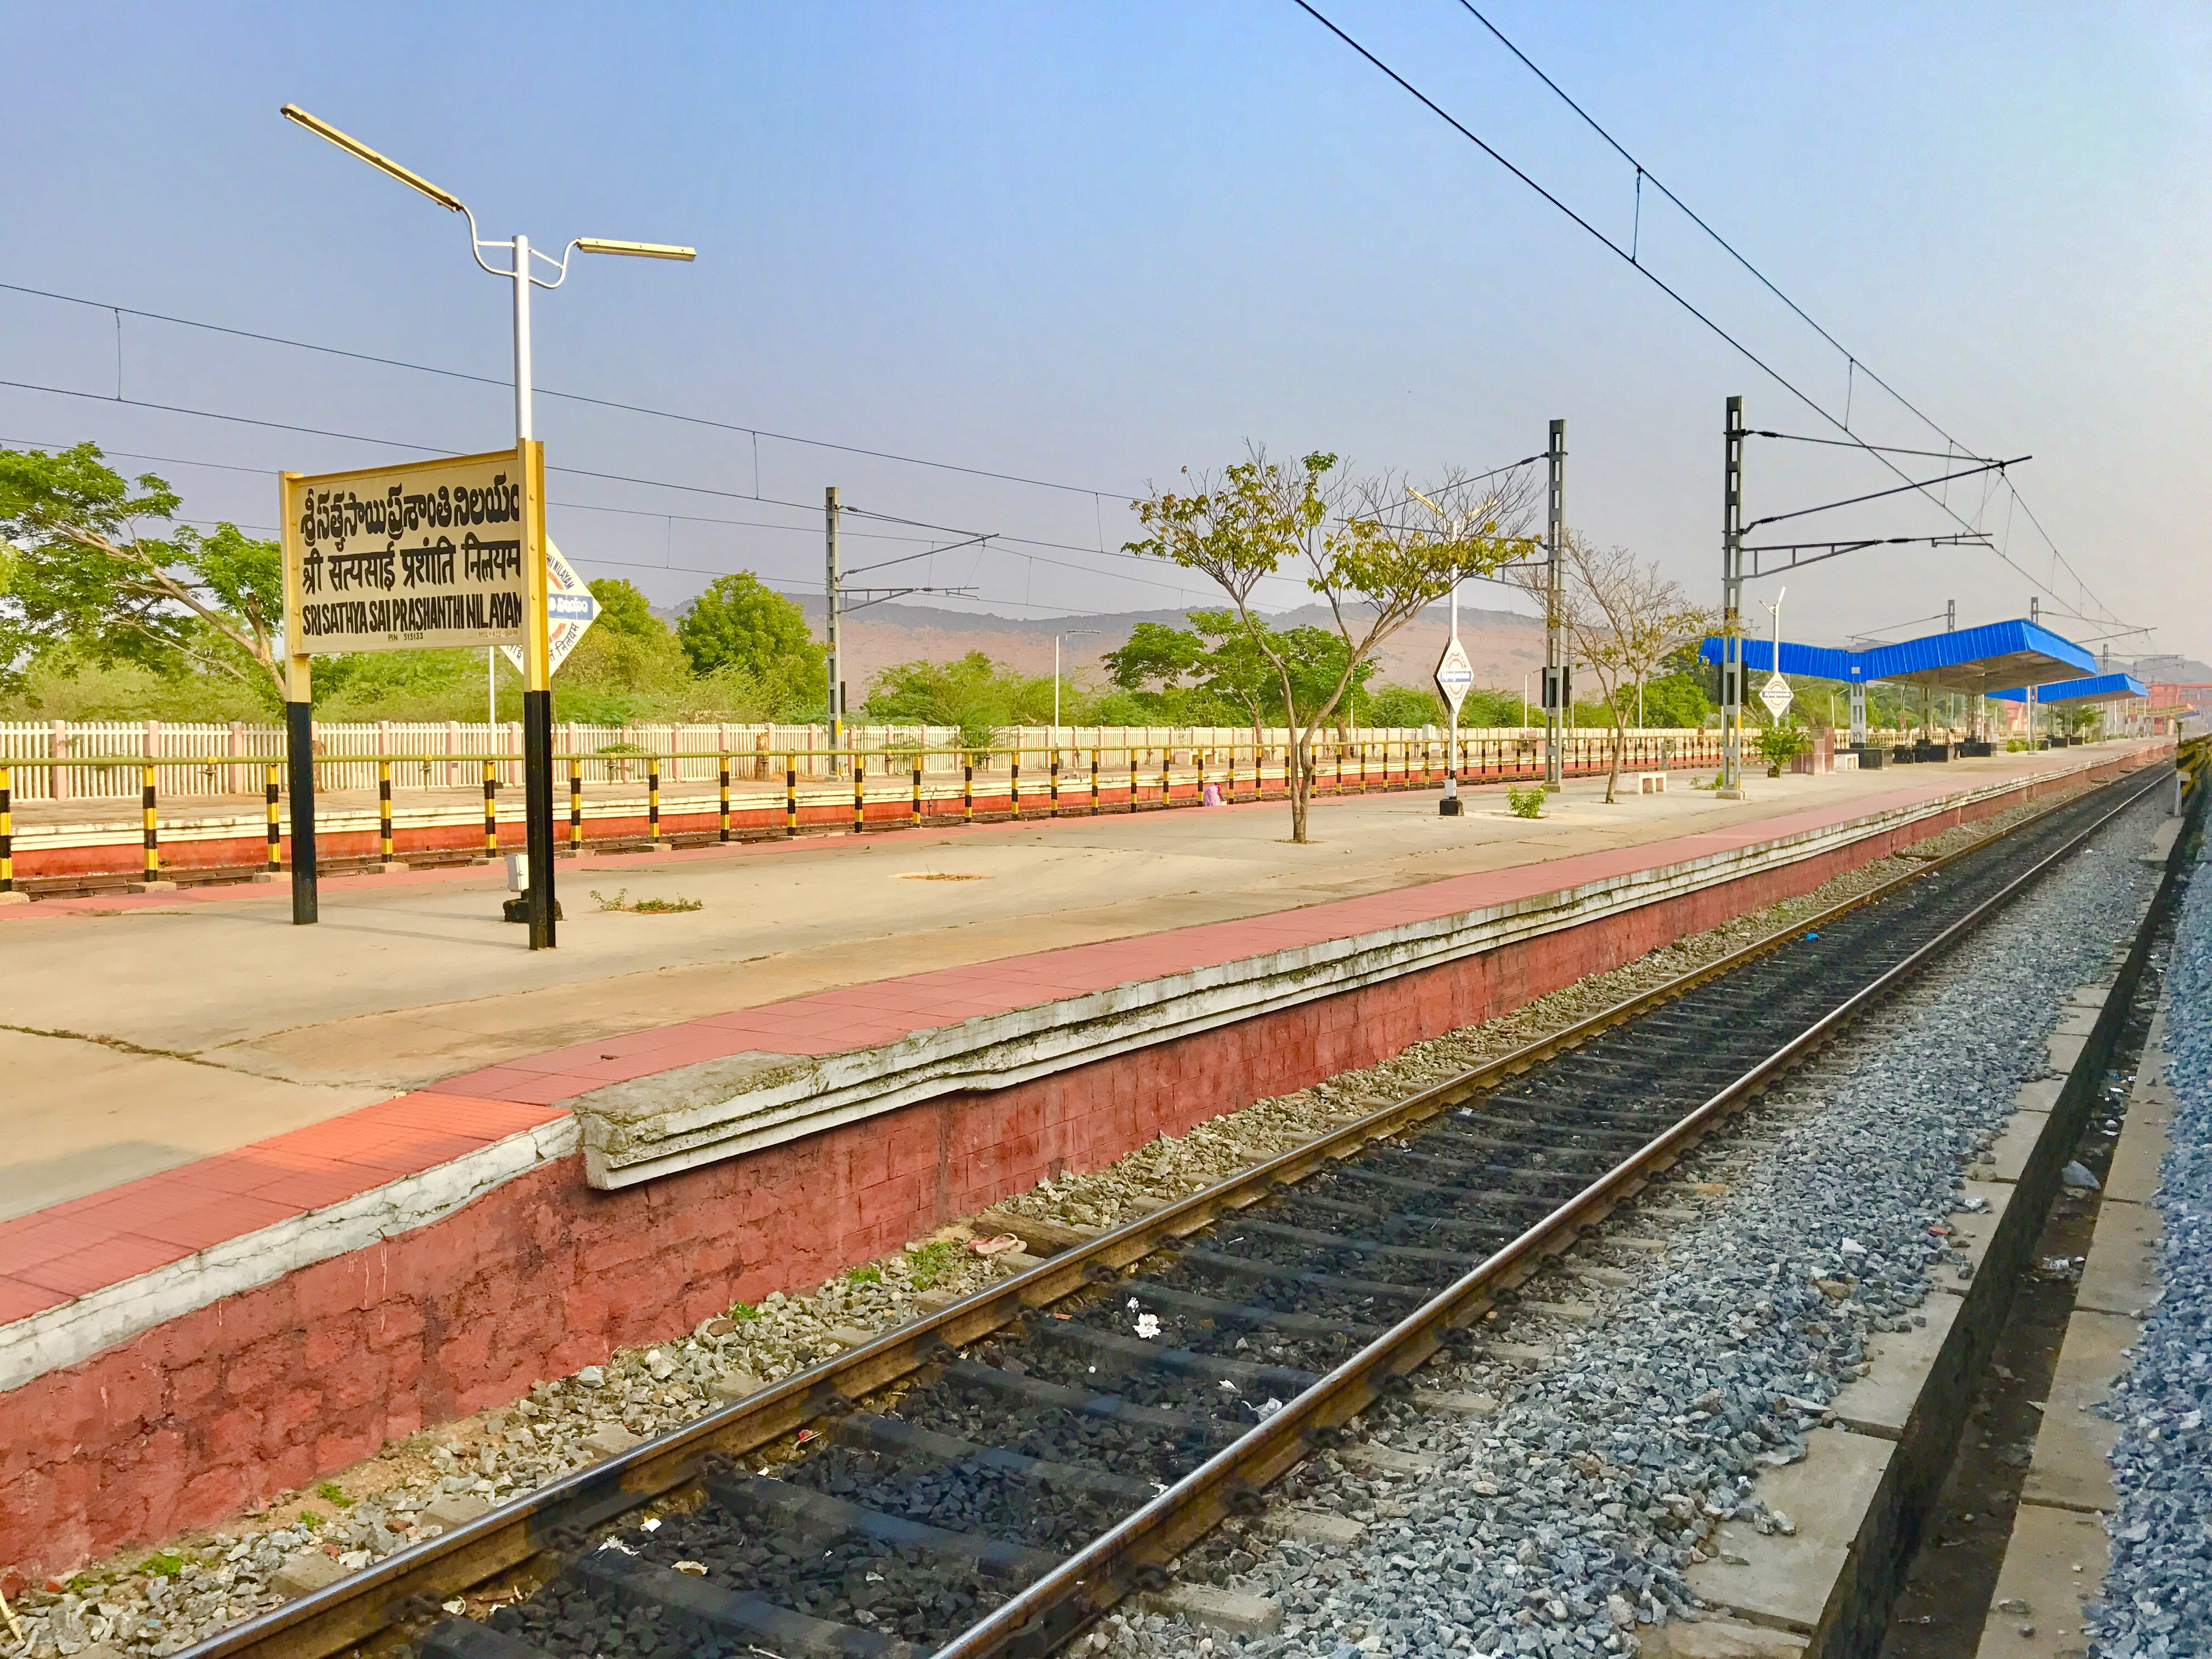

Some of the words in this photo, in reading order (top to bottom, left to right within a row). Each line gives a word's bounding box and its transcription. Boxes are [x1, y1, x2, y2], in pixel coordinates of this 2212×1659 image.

[300, 468, 525, 554] శ్రీ సత్యసాయి ప్రశాంతి నిలయం
[298, 543, 328, 597] श्री
[325, 538, 397, 592] सत्यसाई
[398, 532, 458, 591] प्रशांति
[460, 525, 525, 583] निलयम
[297, 601, 324, 639] SRI
[319, 597, 371, 636] SATHYA
[367, 596, 396, 637] SAI
[388, 590, 526, 636] PRASHANTHINILAYAN